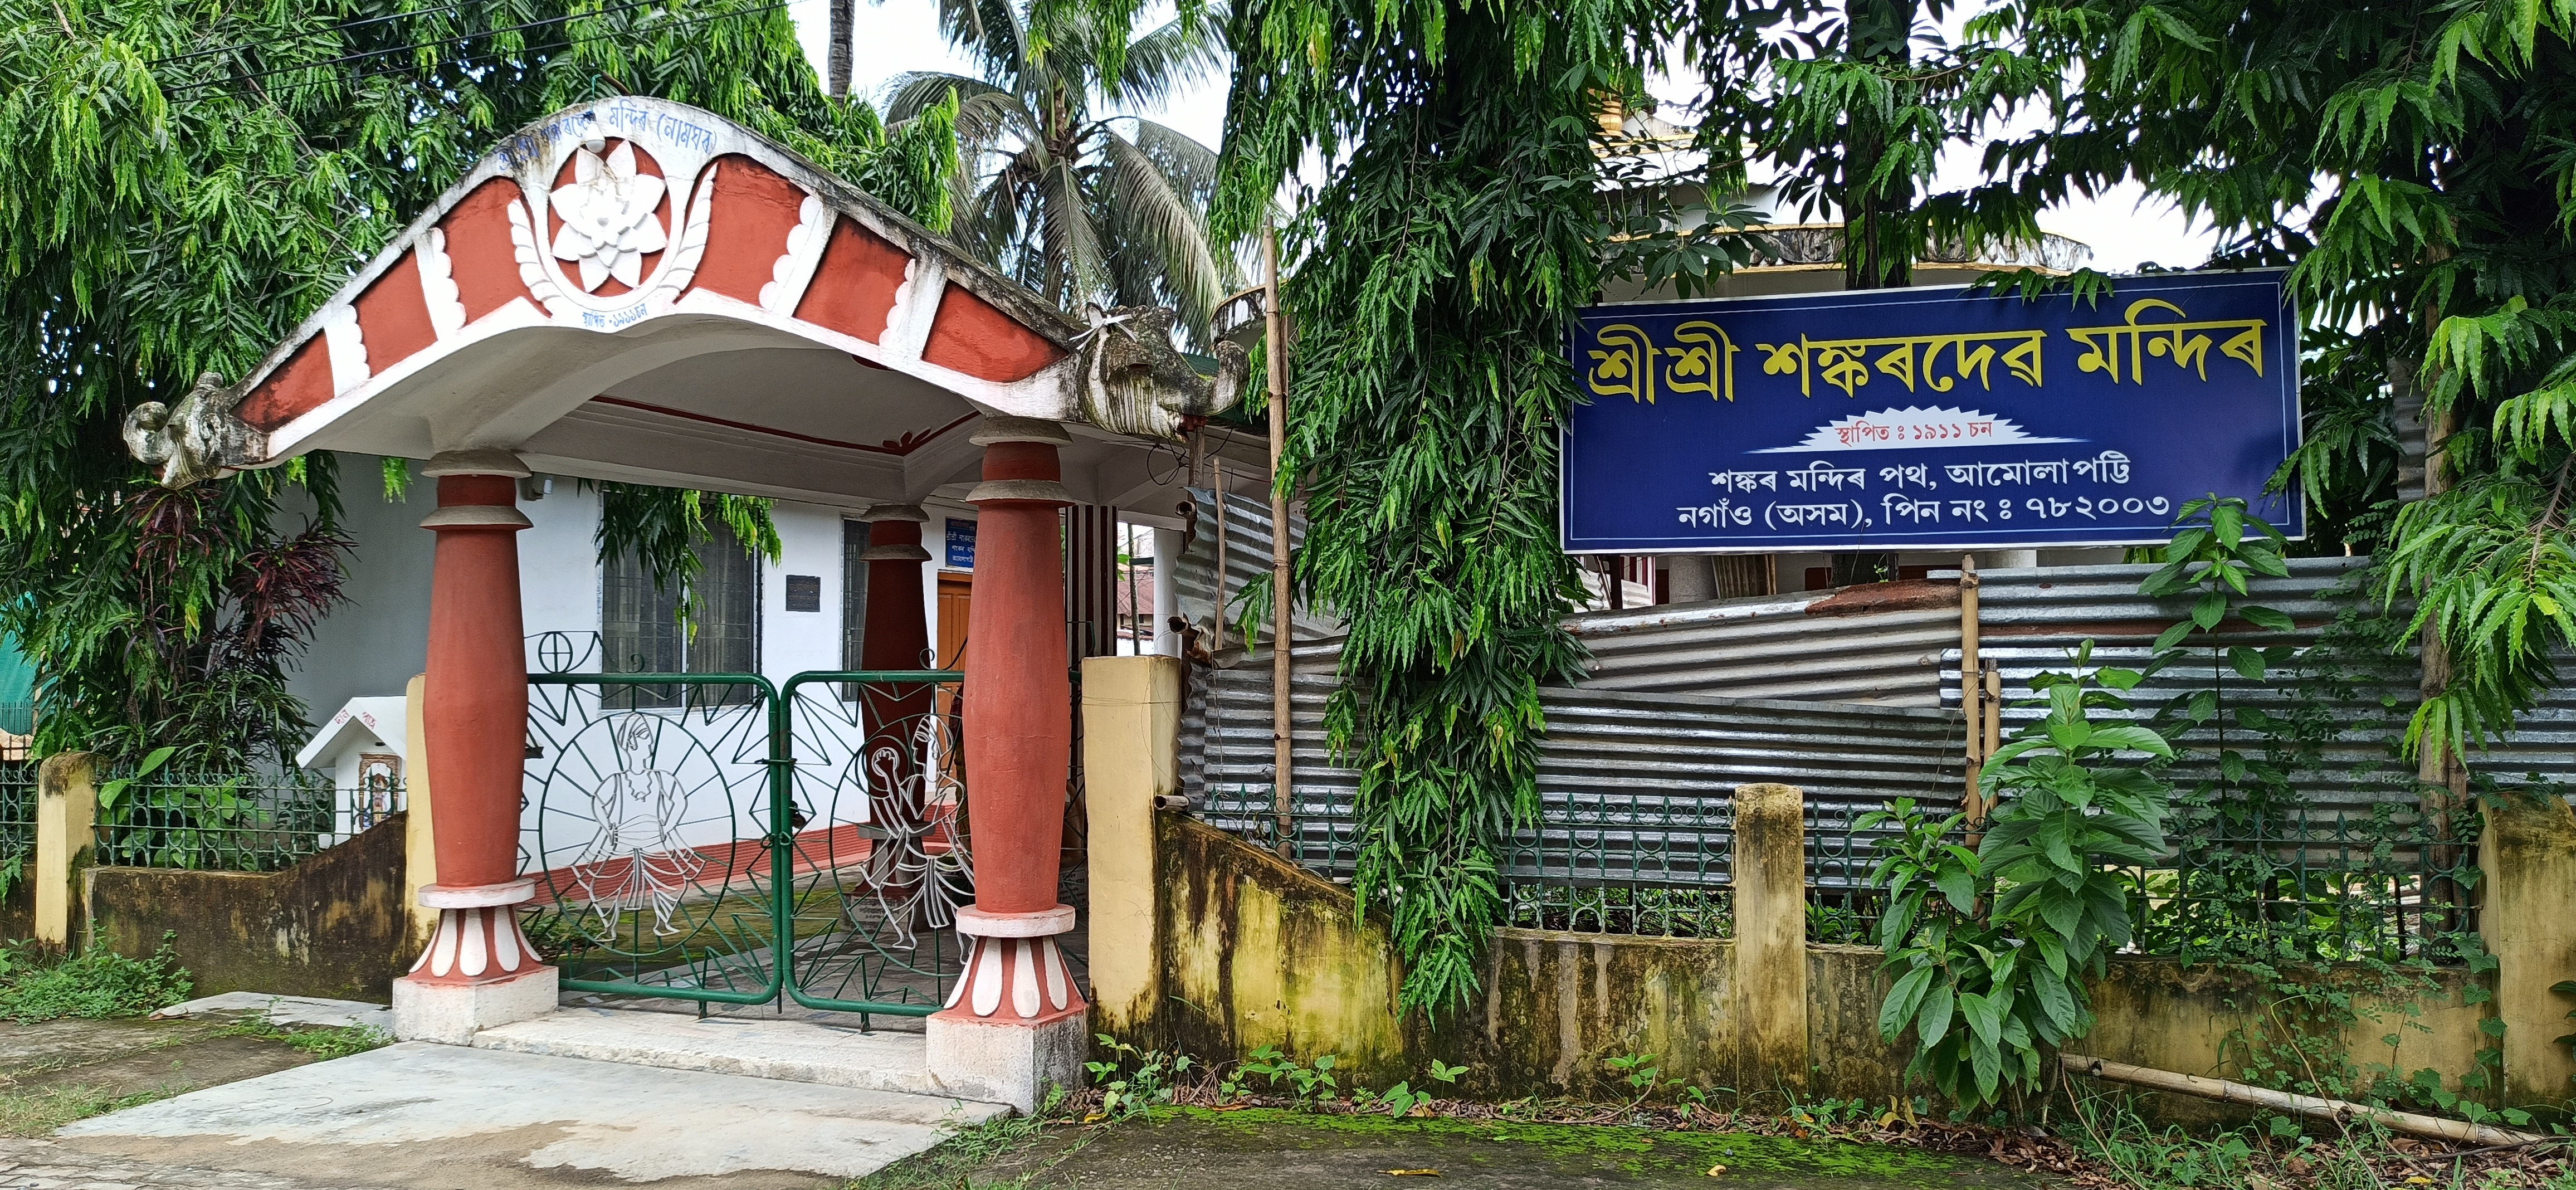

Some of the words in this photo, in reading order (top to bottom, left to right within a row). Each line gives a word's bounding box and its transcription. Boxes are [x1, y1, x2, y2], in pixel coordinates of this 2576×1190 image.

[606, 92, 652, 135] মন্দিৰ
[663, 112, 717, 158] নামঘৰ
[611, 298, 652, 330] ১৯১১চন
[1581, 317, 1740, 407] শ্ৰীশ্ৰী
[1744, 322, 2050, 407] শঙ্কৰদেৱ
[2060, 293, 2271, 392] মন্দিৰ
[1825, 411, 1897, 453] স্থাপিত
[1904, 414, 1999, 449] ১৯১১চন
[1701, 459, 1784, 499] শঙ্কৰ
[1784, 455, 1877, 500] মন্দিৰ
[1876, 446, 1935, 495] পথ,
[1944, 453, 2074, 494] আমোলা
[2072, 448, 2133, 488] পট্টি
[1671, 489, 1770, 536] নগাঁও
[1773, 491, 1852, 536] অসম
[1870, 482, 1993, 531] পিন নং
[2020, 485, 2176, 528] ৭৮২০০৩